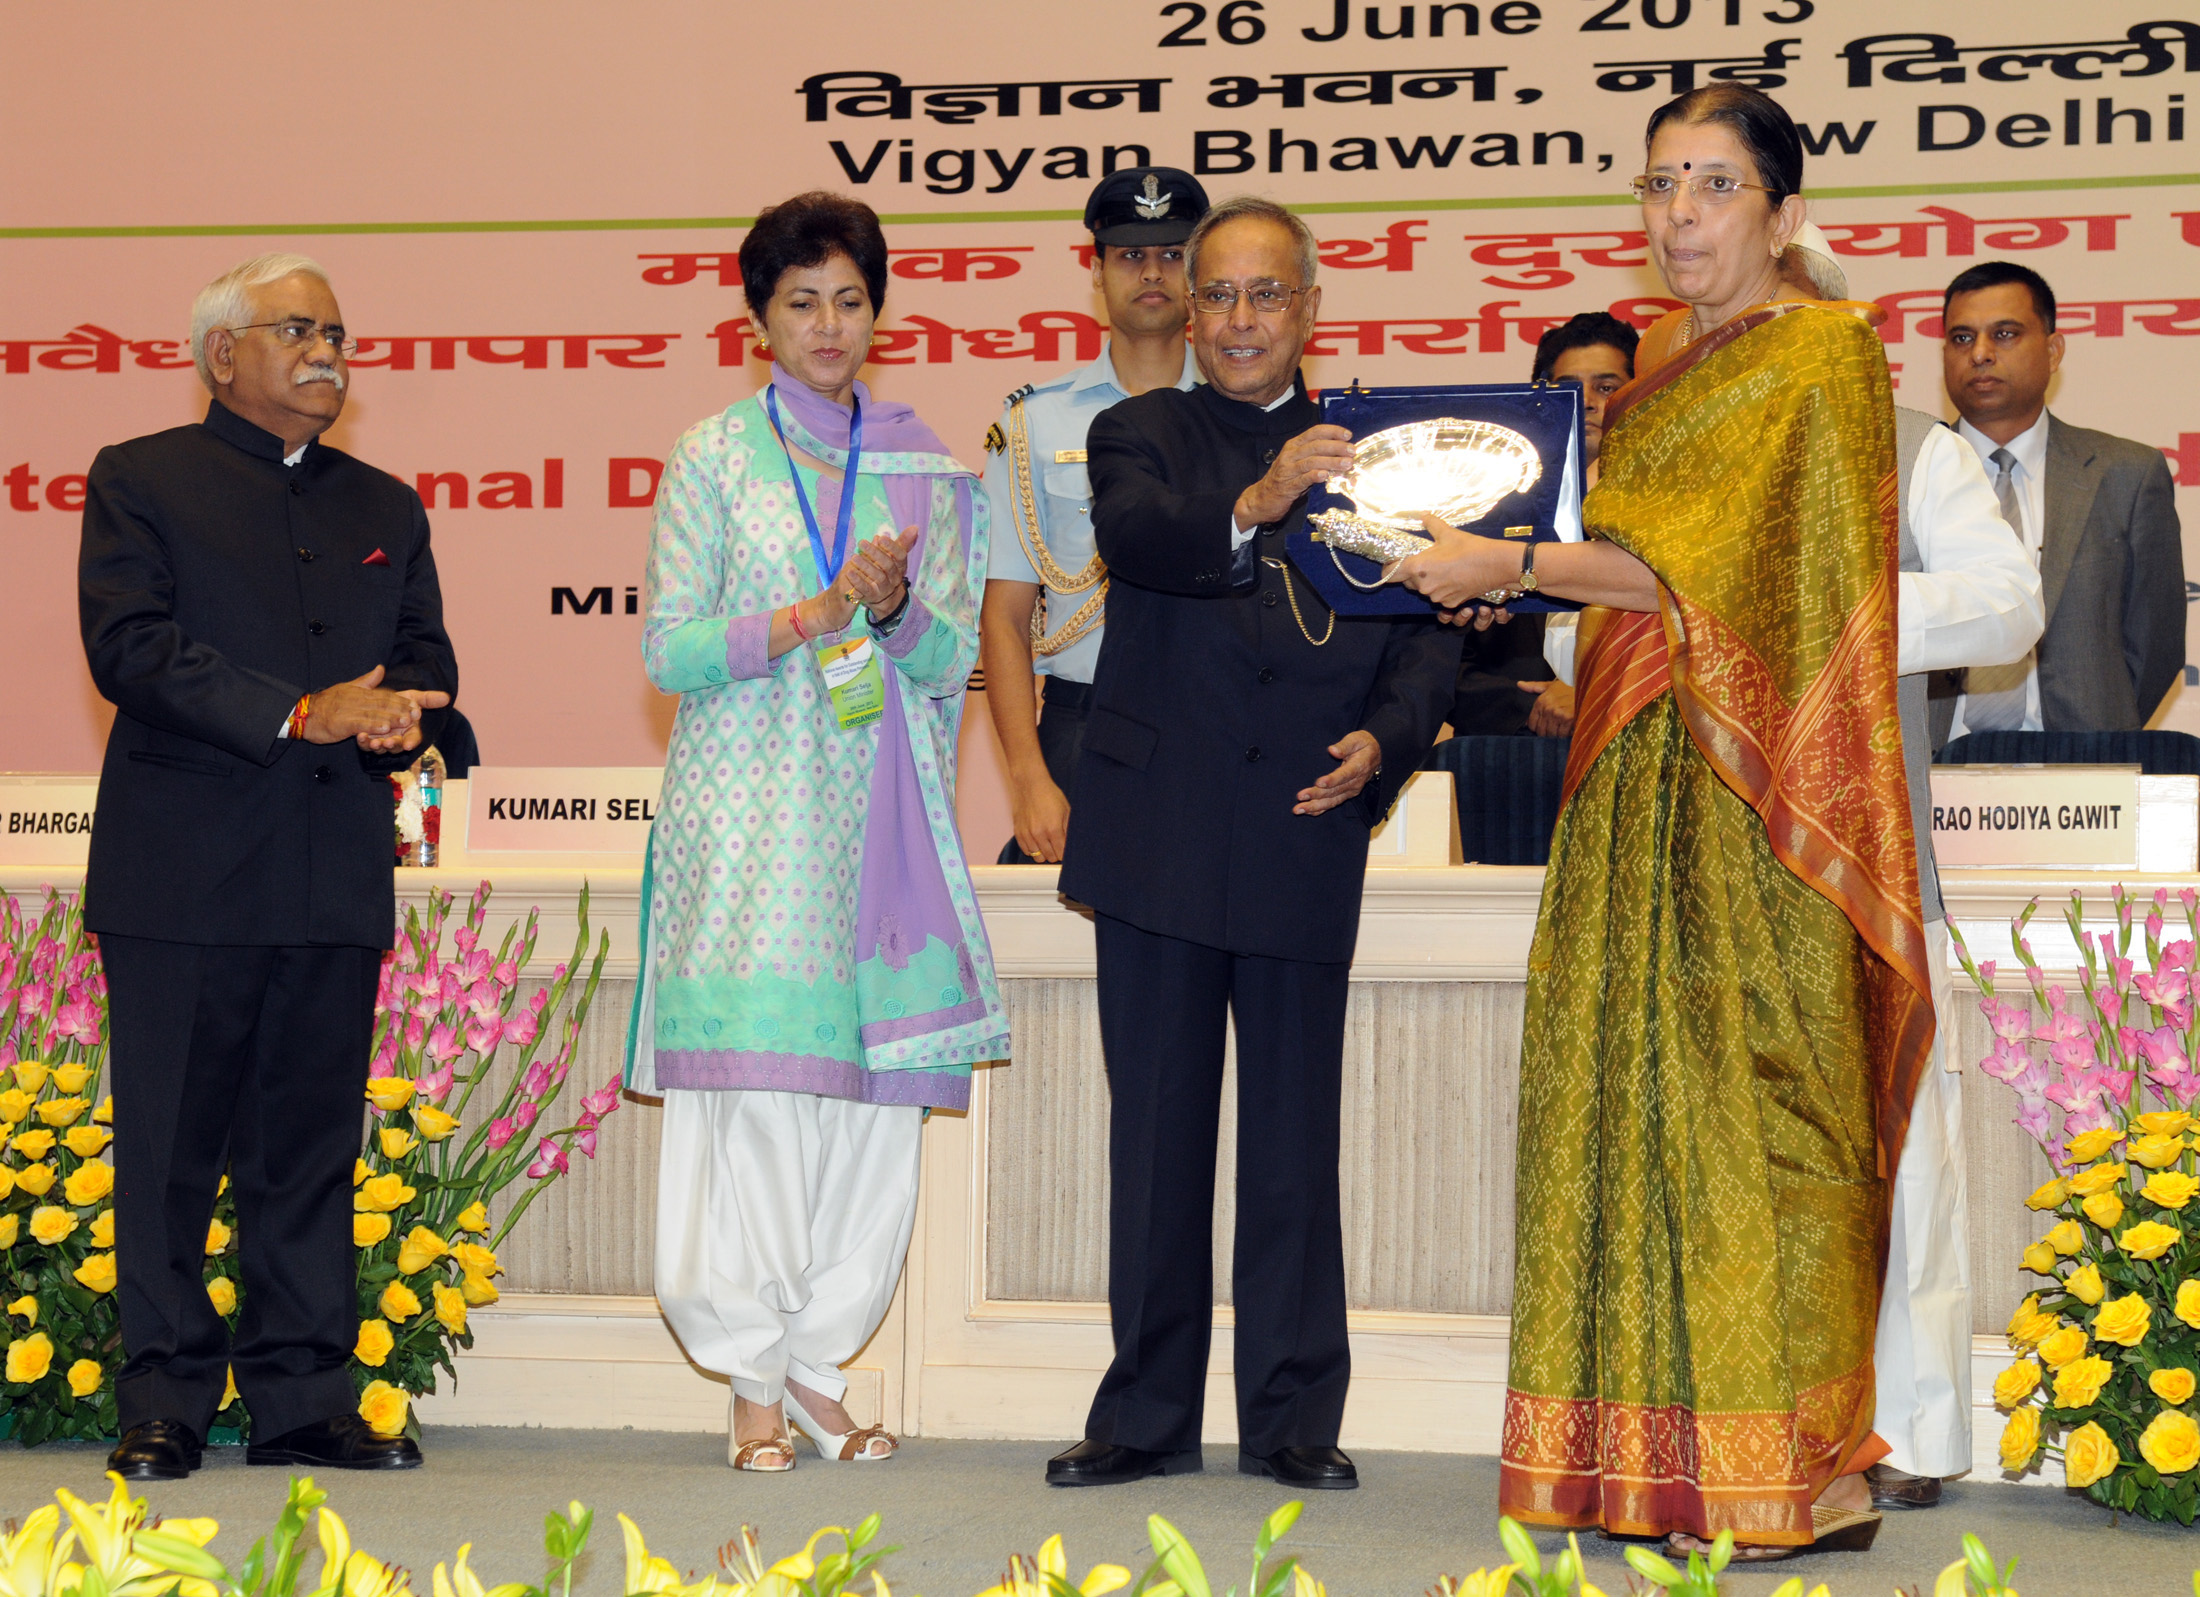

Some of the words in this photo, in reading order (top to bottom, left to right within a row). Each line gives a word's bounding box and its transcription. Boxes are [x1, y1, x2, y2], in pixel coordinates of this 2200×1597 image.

[787, 60, 1176, 129] वि‍ज्ञान
[1149, 0, 1270, 54] 26
[1199, 61, 1513, 114] भवन
[1293, 1, 1545, 49] June
[1592, 25, 1809, 103] नई
[1829, 12, 2199, 93] दिल्ली
[827, 133, 1158, 199] Vigyan
[1189, 121, 1589, 180] Bhawan
[1797, 115, 1862, 161] W
[1911, 88, 2189, 159] Delhi
[1821, 196, 2133, 266] योग
[341, 323, 689, 379] यापार
[859, 302, 1115, 373] रोधी
[6, 807, 99, 843] BHARGA
[484, 791, 600, 827] KUMARI
[601, 793, 658, 825] SEL
[1929, 803, 1974, 838] RAO
[1969, 795, 2059, 835] ८००१४४
[2056, 796, 2125, 833] GAWIT